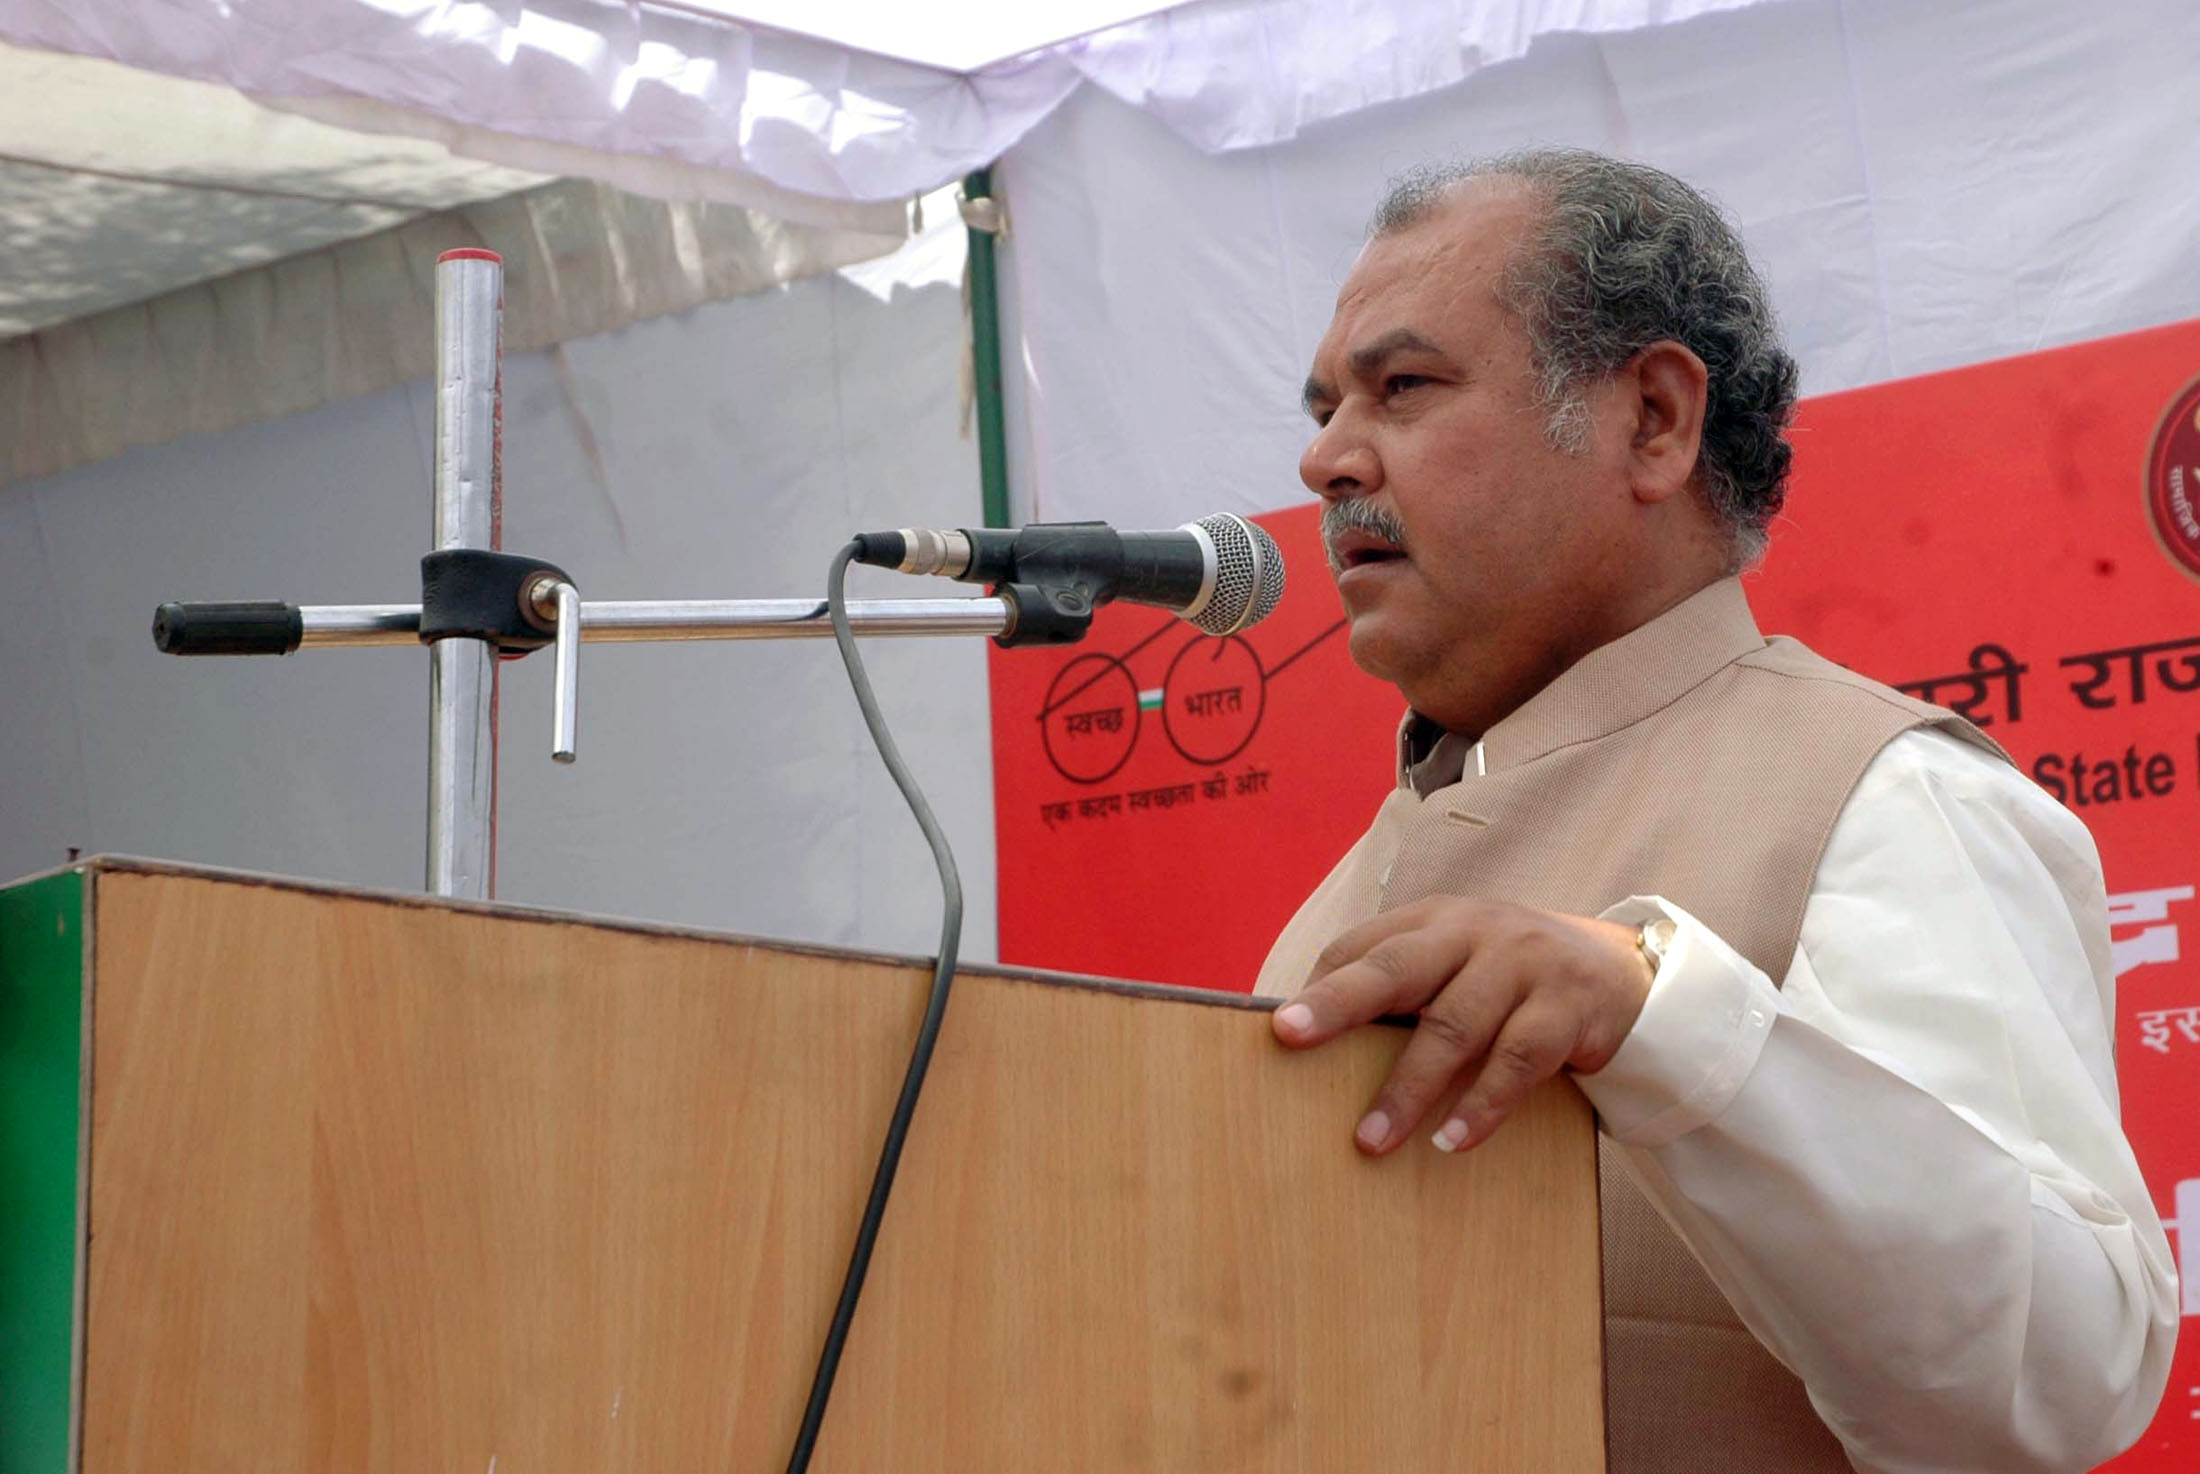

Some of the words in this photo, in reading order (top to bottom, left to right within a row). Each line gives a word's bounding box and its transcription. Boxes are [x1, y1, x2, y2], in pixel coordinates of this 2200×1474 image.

[1180, 681, 1248, 720] भारत
[1878, 628, 2028, 732] री
[2062, 634, 2198, 719] राज
[1063, 704, 1127, 746] स्वच्छ
[1037, 798, 1075, 835] एक
[1077, 791, 1125, 826] कदम
[1121, 781, 1197, 816] स्वच्छता
[1197, 763, 1231, 805] की
[1229, 760, 1274, 800] ओर
[2027, 735, 2180, 819] State